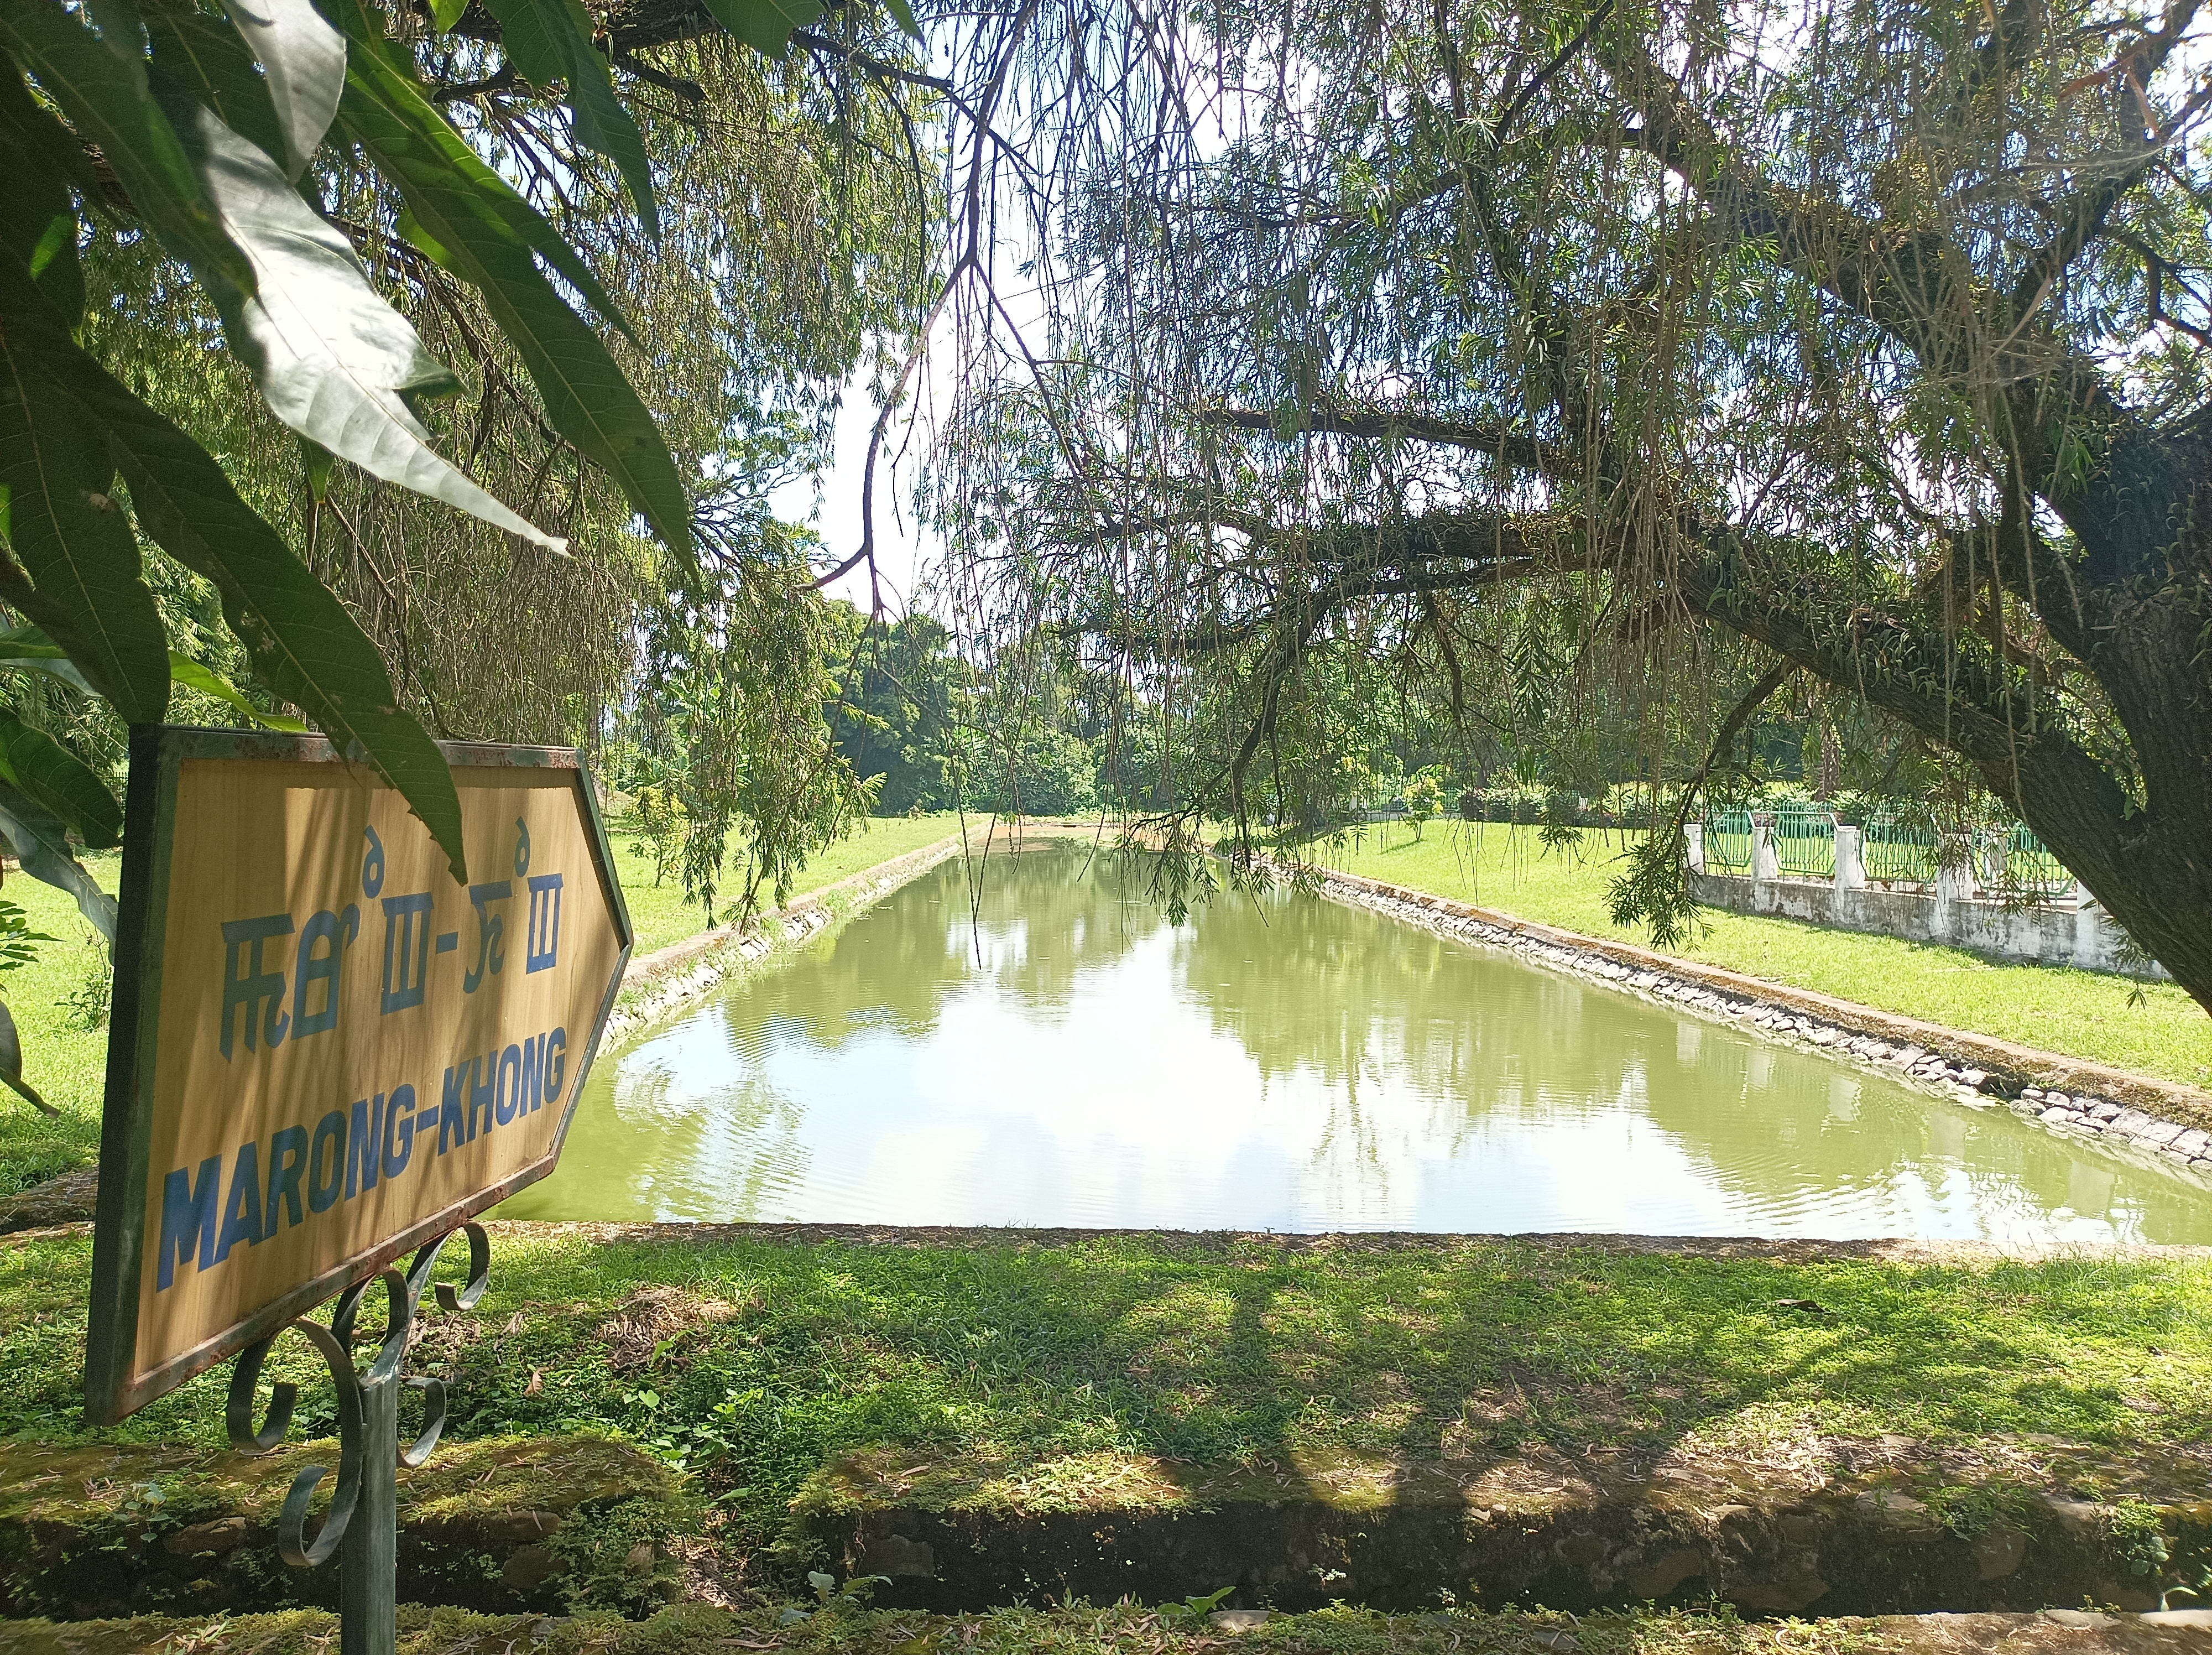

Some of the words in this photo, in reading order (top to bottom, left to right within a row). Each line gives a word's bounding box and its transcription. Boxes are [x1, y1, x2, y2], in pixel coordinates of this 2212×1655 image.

[212, 818, 438, 1074] ꯃꯔꯣꯡ
[458, 809, 566, 997] ꯈꯣꯡ
[155, 1077, 423, 1293] MARONG
[438, 1021, 570, 1159] KHONG